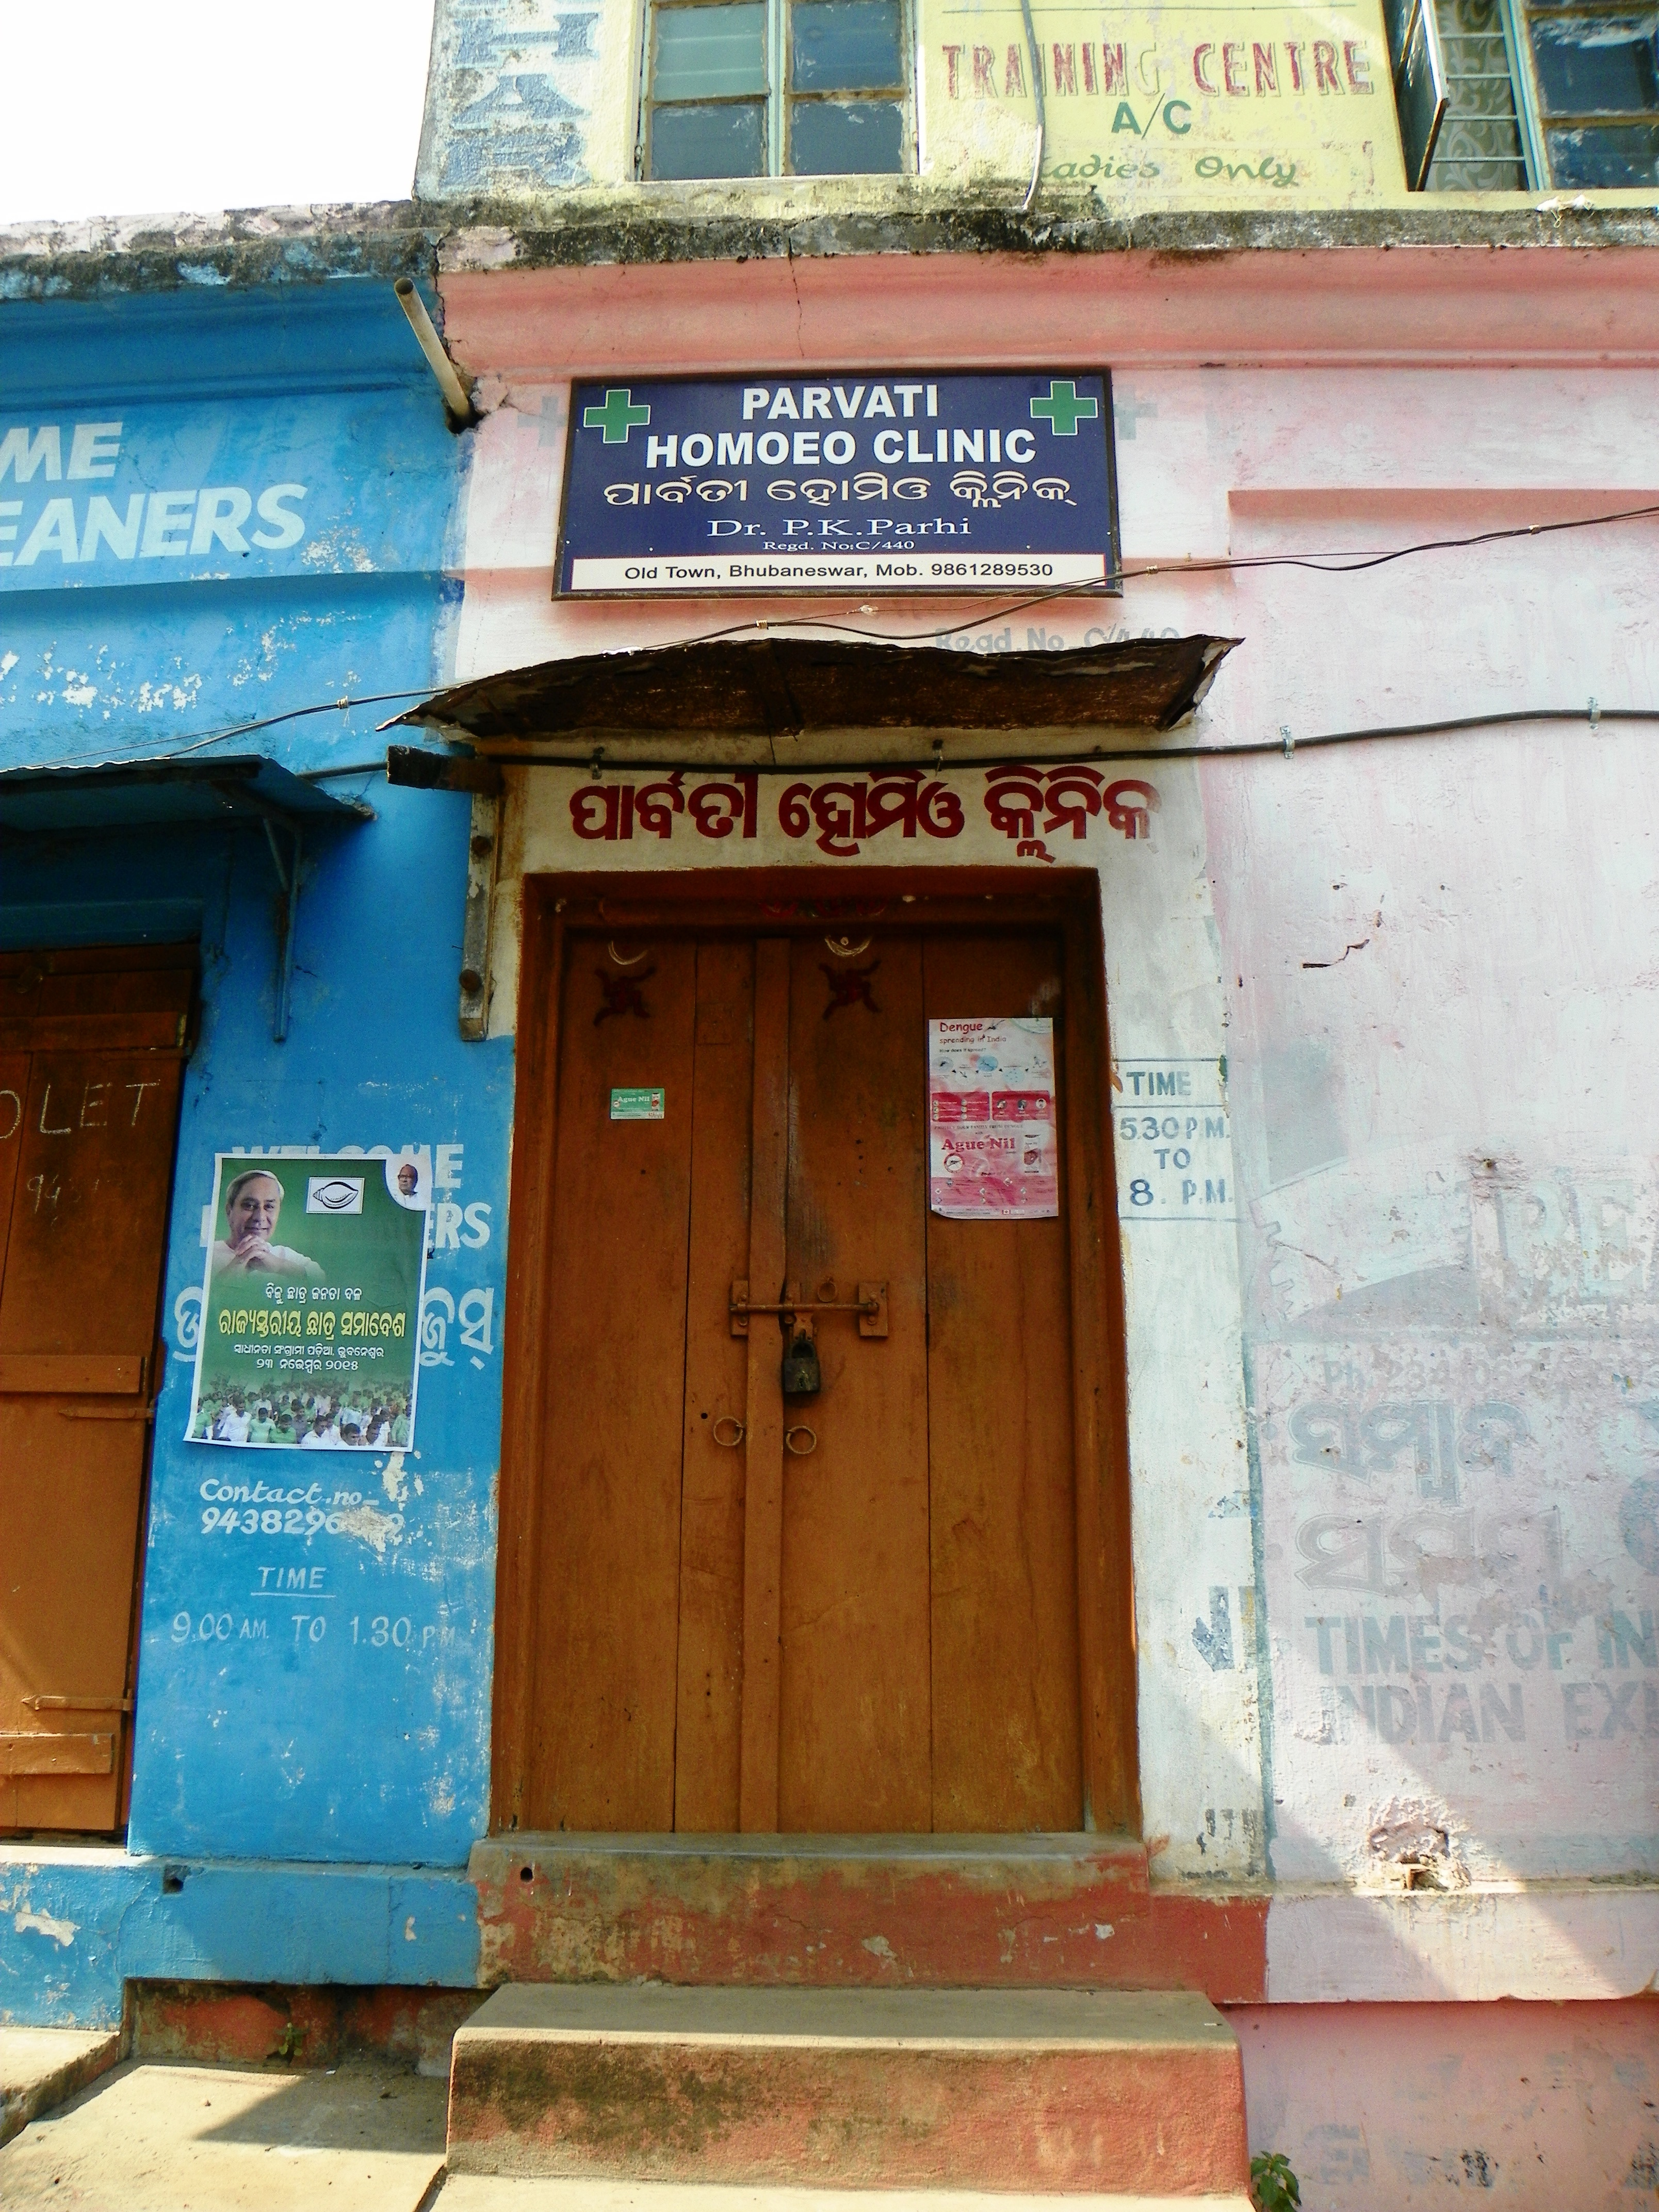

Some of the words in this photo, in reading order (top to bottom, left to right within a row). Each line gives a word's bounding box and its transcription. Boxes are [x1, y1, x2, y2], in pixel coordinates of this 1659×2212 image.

[934, 37, 1164, 106] TRAINING
[1187, 36, 1376, 100] CENTRE
[1107, 93, 1197, 139] A/C
[1035, 152, 1162, 185] Ladies
[1190, 150, 1298, 187] Only
[736, 380, 941, 421] PARVATI
[643, 427, 862, 471] HOMOEO
[868, 424, 1040, 468] CLINIC
[600, 470, 753, 509] ପାର୍ବତୀ
[764, 467, 933, 511] ହୋମିଓ
[945, 463, 1079, 511] କ୍ଲିନିକ୍
[707, 515, 769, 537] Dr.
[758, 538, 815, 556] Regd.
[819, 535, 917, 552] No:C/440
[779, 515, 974, 540] P.K.Parhi
[623, 561, 661, 581] Old
[663, 563, 717, 579] Town
[727, 564, 865, 579] Bhubaneswar
[874, 561, 925, 579] Mob.
[929, 561, 1055, 580] 9861289530
[568, 756, 765, 847] ପାର୍ବତୀ
[975, 756, 1166, 867] କ୍ଲିନିକ
[937, 1018, 986, 1036] Dengue
[1123, 1062, 1197, 1101] TIME
[940, 1135, 986, 1156] Ague
[986, 1134, 1017, 1151] Nil
[1114, 1111, 1231, 1145] 530PM.
[1148, 1142, 1197, 1173] TO
[1125, 1173, 1162, 1211] 8
[1177, 1170, 1231, 1208] P.M.
[262, 1279, 285, 1309] ବିଜୁ
[283, 1283, 312, 1306] ଛାତ୍ର
[310, 1282, 343, 1302] ଜନତା
[341, 1284, 363, 1302] ଦଳ
[215, 1307, 306, 1339] ରାଜ୍ୟସନ୍ଧୀୟ
[306, 1308, 339, 1344] ଛାତ୍ର
[337, 1309, 408, 1340] ସମାବେଶ
[231, 1339, 275, 1356] ସାଧୀନତା
[255, 1355, 276, 1370] ୨୩
[272, 1339, 307, 1358] ସଂଗ୍ରାମୀ
[278, 1355, 324, 1377] ନଭେମ୍ବର
[306, 1341, 336, 1359] ପତ଼ିଆ,
[323, 1357, 360, 1374] ୨୦୧୫
[336, 1344, 387, 1362] ଭୁବନେଶ୍ବର
[1279, 1388, 1546, 1514] ସମ୍ବାଦ
[198, 1474, 327, 1508] Contact
[330, 1486, 368, 1508] no
[248, 1556, 329, 1597] TIME
[170, 1609, 270, 1645] 9.00AM.
[290, 1612, 329, 1645] TO
[345, 1611, 458, 1652] 1.30P.P.M.
[1294, 1607, 1504, 1683] TIMES
[1314, 1676, 1533, 1754] INDIAN